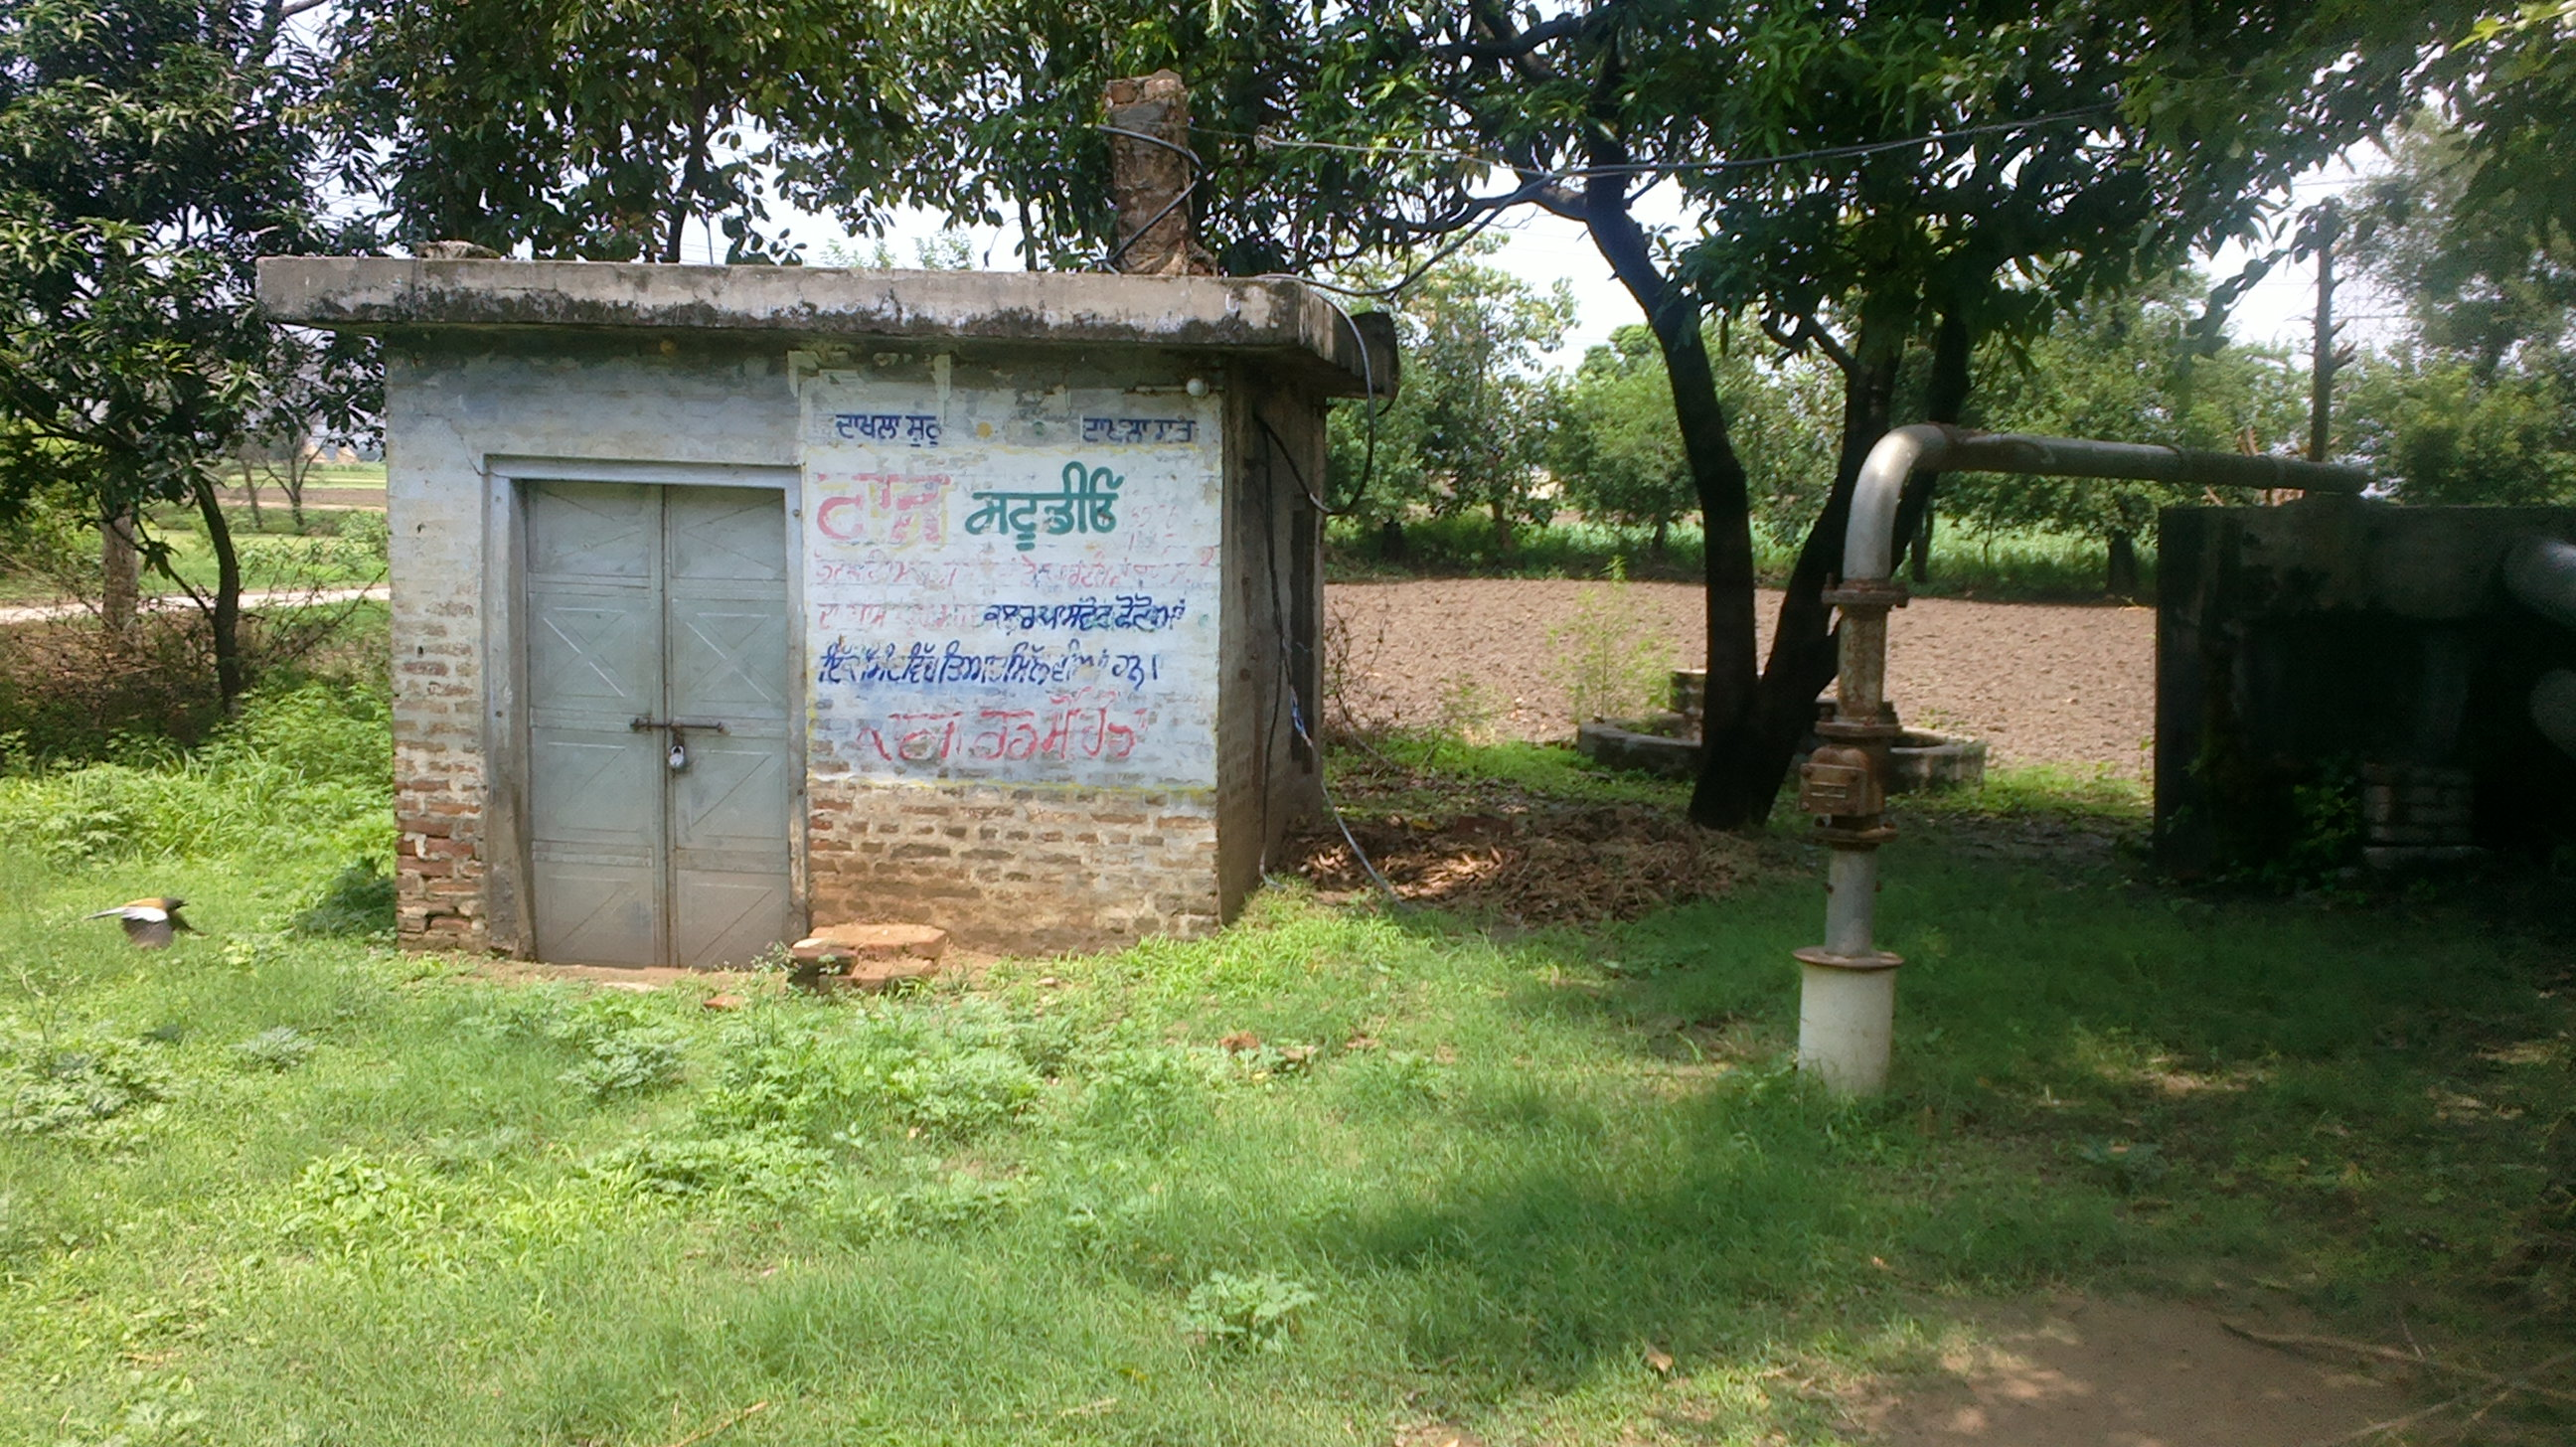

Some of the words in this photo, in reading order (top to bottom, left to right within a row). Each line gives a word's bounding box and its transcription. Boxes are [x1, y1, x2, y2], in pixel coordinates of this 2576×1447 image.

[958, 458, 1129, 554] ਸਟੂਡੀਓ